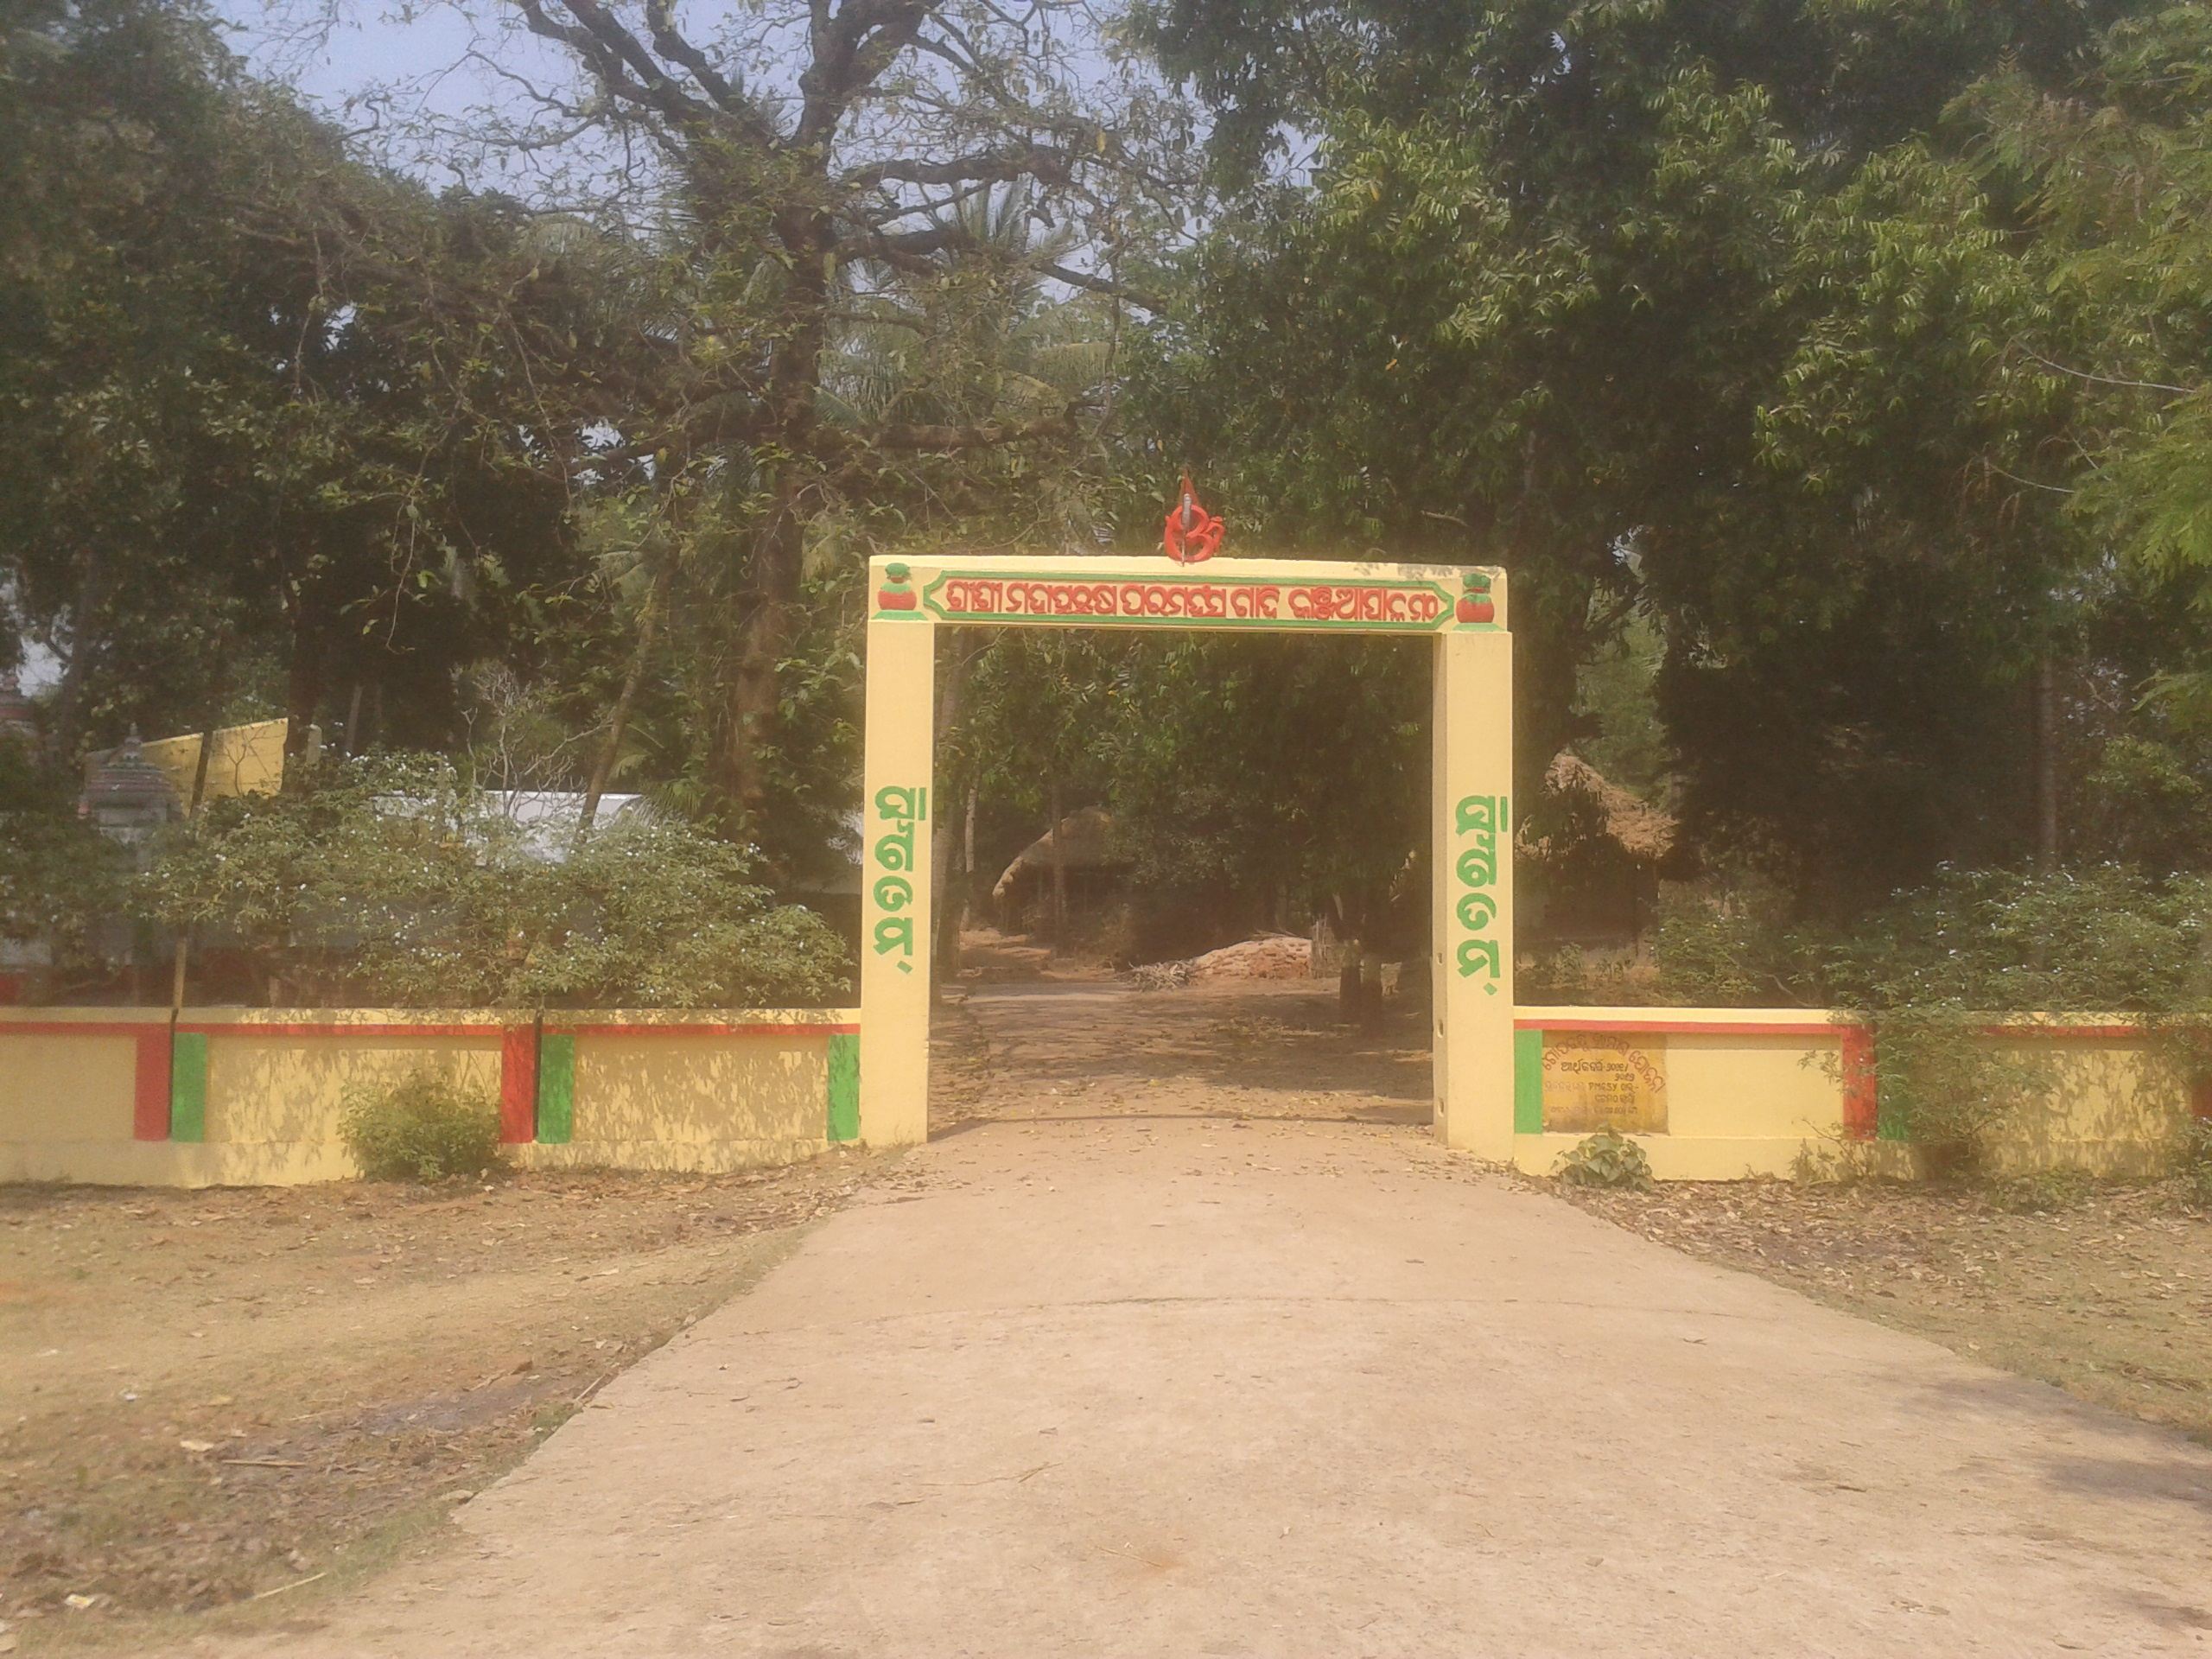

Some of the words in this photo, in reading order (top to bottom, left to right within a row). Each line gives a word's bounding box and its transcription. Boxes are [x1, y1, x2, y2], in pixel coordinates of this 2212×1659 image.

[943, 577, 1006, 615] ଶ୍ରେଣୀ
[1001, 569, 1124, 618] ମହାପୁରଷ
[1118, 576, 1285, 623] ପରମଦଂସ ଗାଦି
[865, 779, 933, 976] ପାଗୖତମ୍
[1454, 790, 1510, 999] ସ୍ବାଗତମ